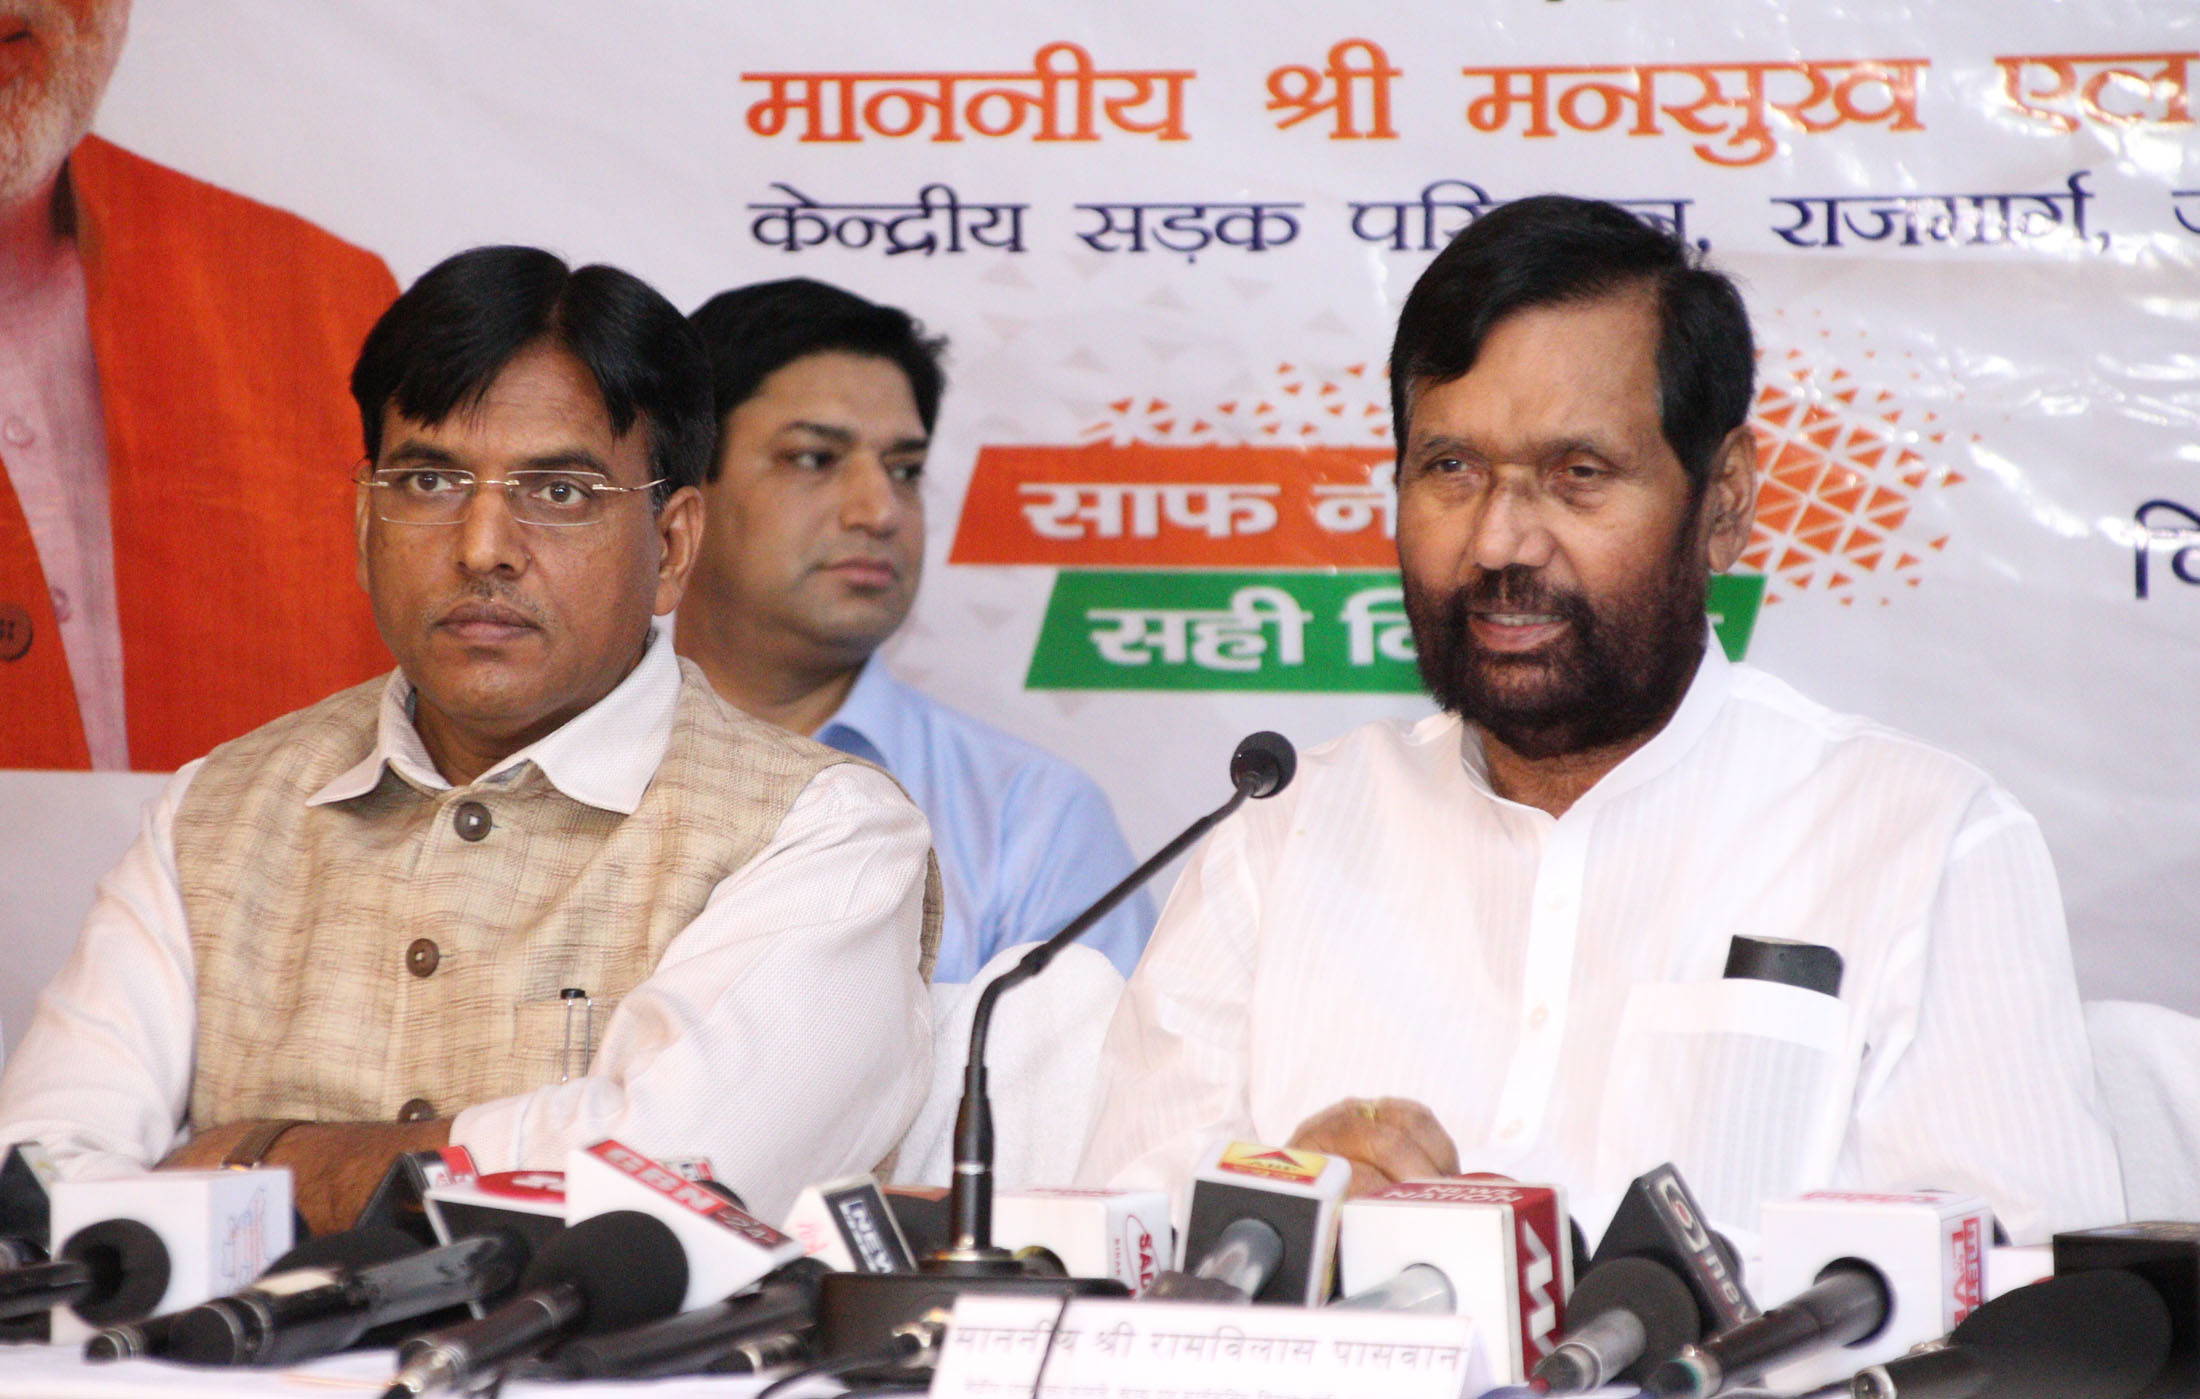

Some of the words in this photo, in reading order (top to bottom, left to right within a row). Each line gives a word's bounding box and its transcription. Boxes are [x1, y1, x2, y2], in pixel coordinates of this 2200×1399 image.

[742, 33, 1203, 149] माननीय
[1259, 30, 1409, 145] श्री
[1460, 50, 1935, 177] मनसुख
[1990, 47, 2198, 145] एल
[741, 177, 1026, 264] केन्द्रीय
[1070, 190, 1304, 268] सड़क
[1340, 171, 1500, 263] परि
[1765, 166, 2099, 256] राजमार्ग
[1016, 476, 1281, 550] साफ
[1078, 582, 1308, 679] सही
[955, 1315, 1088, 1364] माननीय
[1091, 1318, 1141, 1365] श्री
[1149, 1317, 1324, 1376] रामविलास
[1330, 1338, 1466, 1382] पासवान